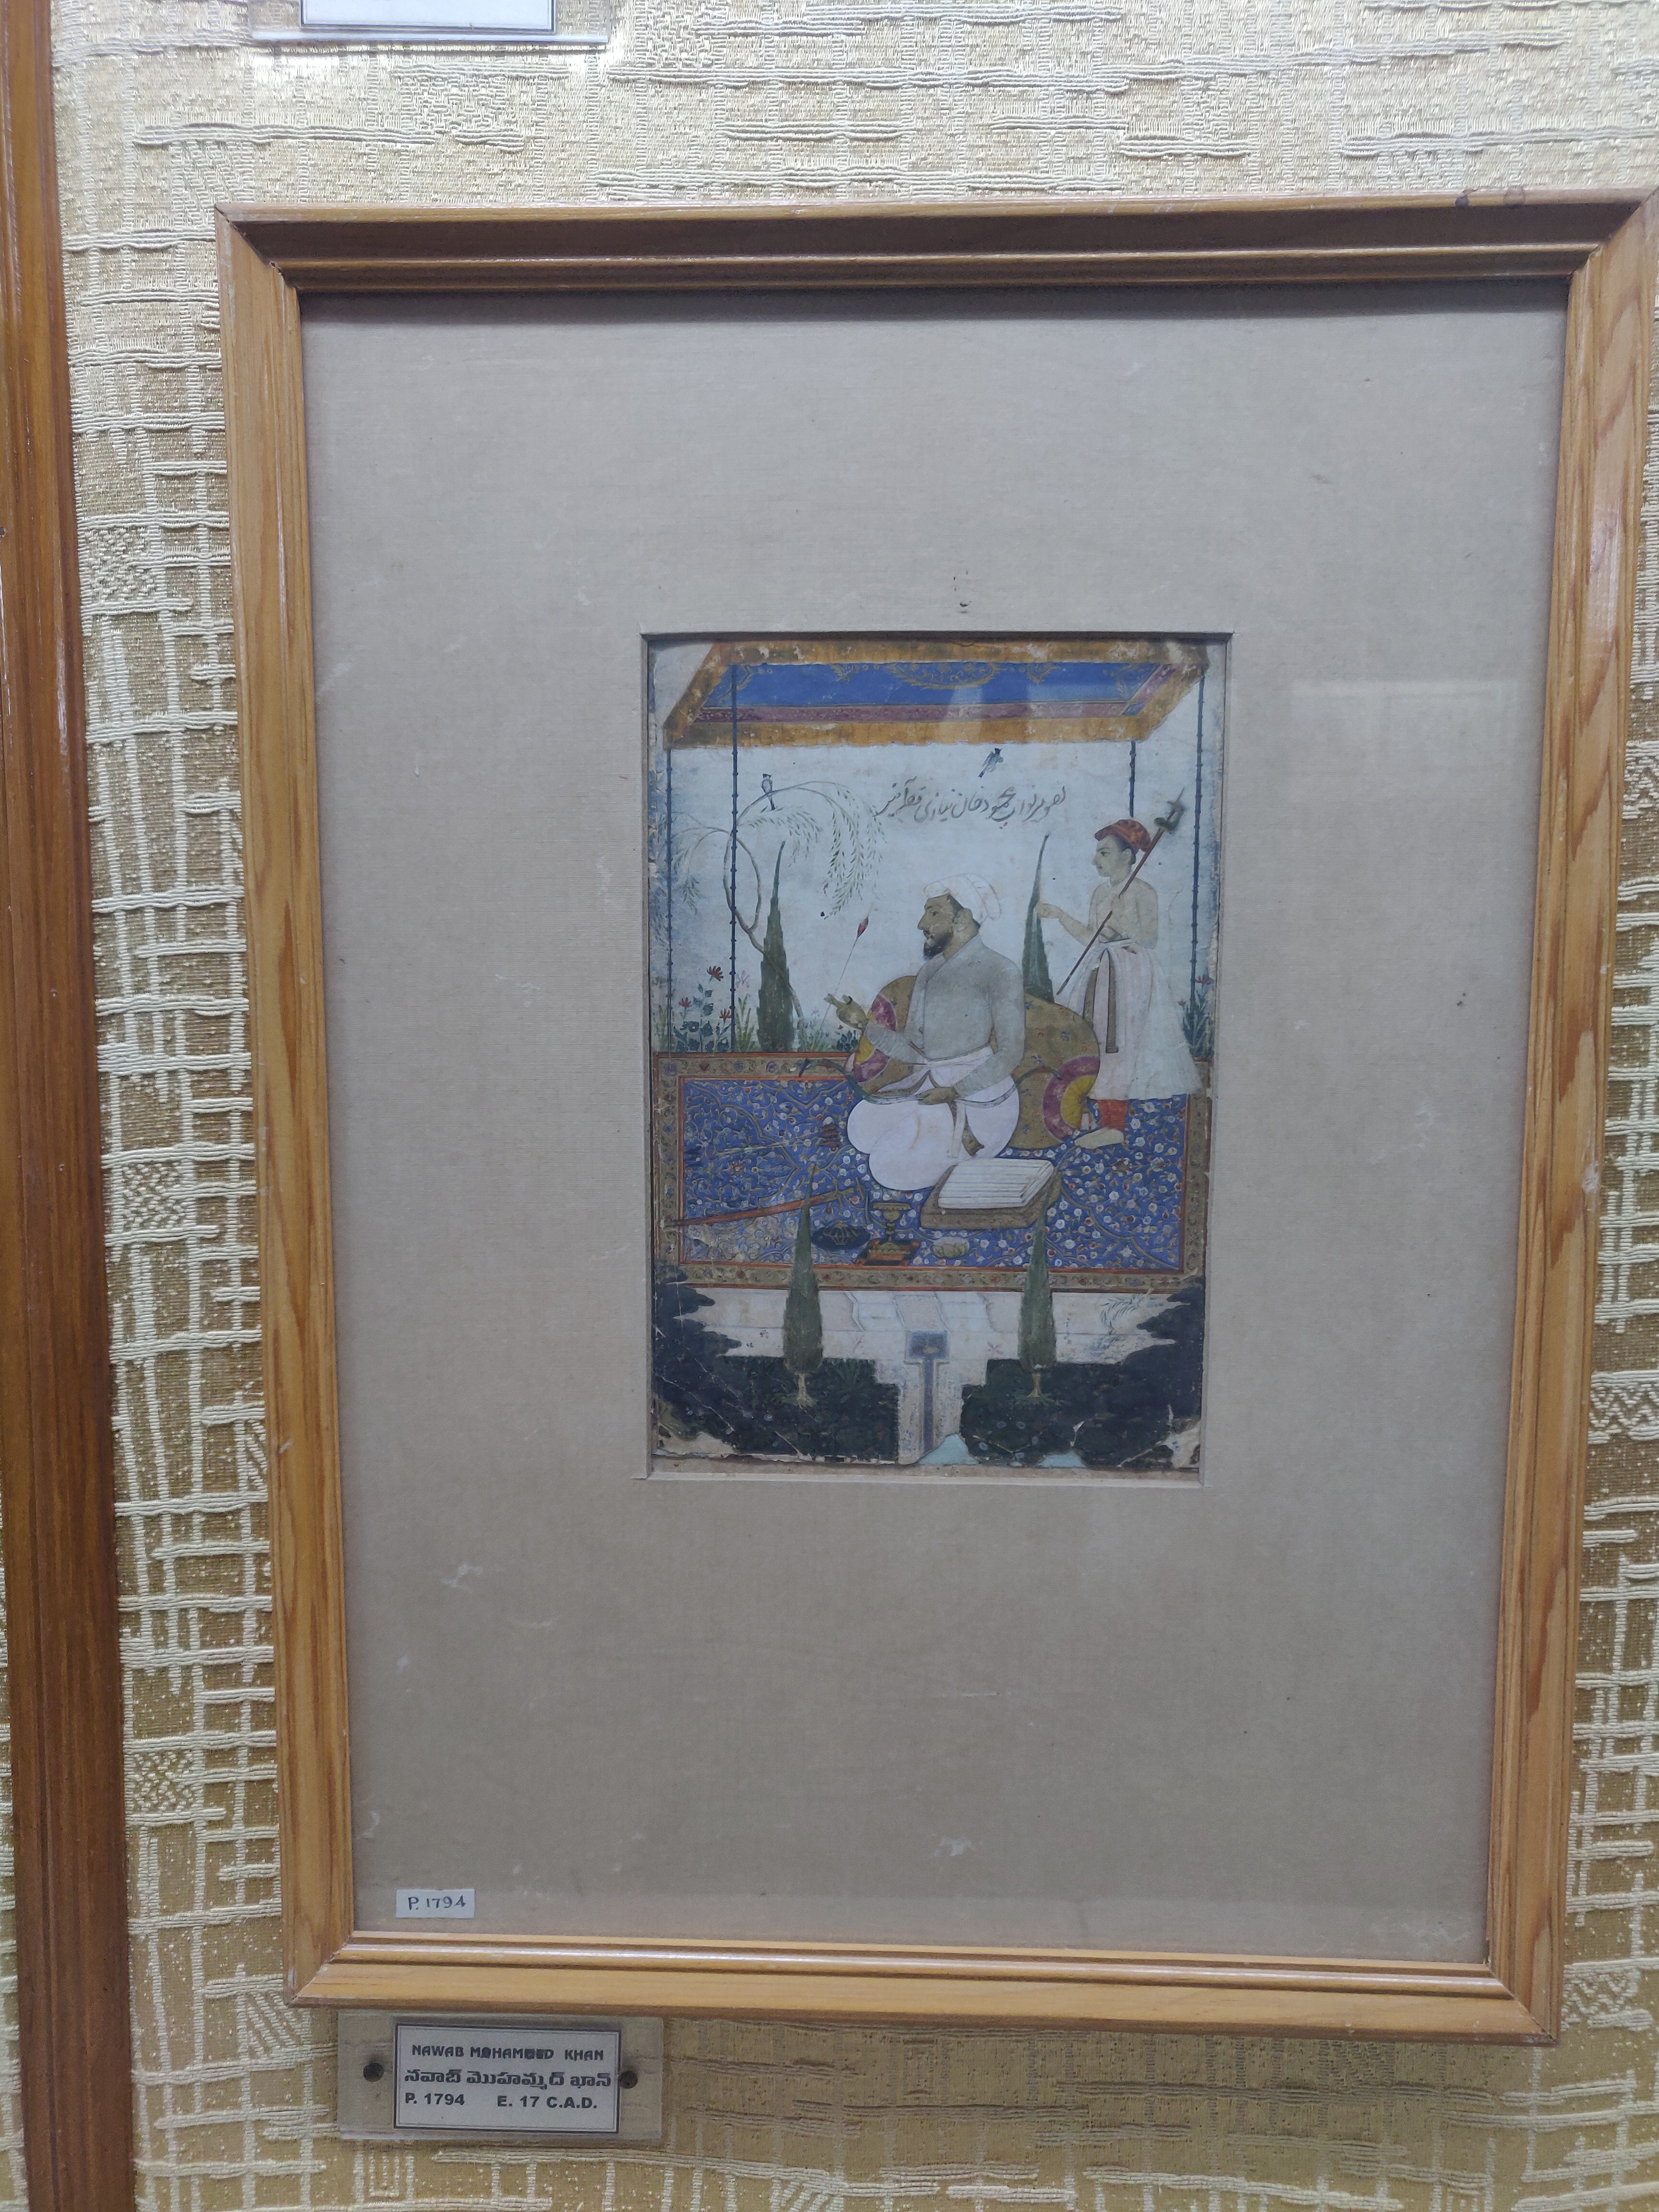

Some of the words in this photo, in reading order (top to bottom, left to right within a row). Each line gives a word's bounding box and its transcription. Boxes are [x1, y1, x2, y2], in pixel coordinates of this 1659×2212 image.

[409, 2041, 465, 2059] NAWAB
[468, 2044, 556, 2062] MOHAMBED
[562, 2047, 608, 2061] KHAN
[402, 2065, 464, 2086] నవాబ్
[463, 2066, 566, 2092] మొహమ్మద్
[568, 2069, 613, 2088] ఖాన్
[403, 2089, 467, 2107] P.1794
[494, 2091, 601, 2115] E.17C.A.D.